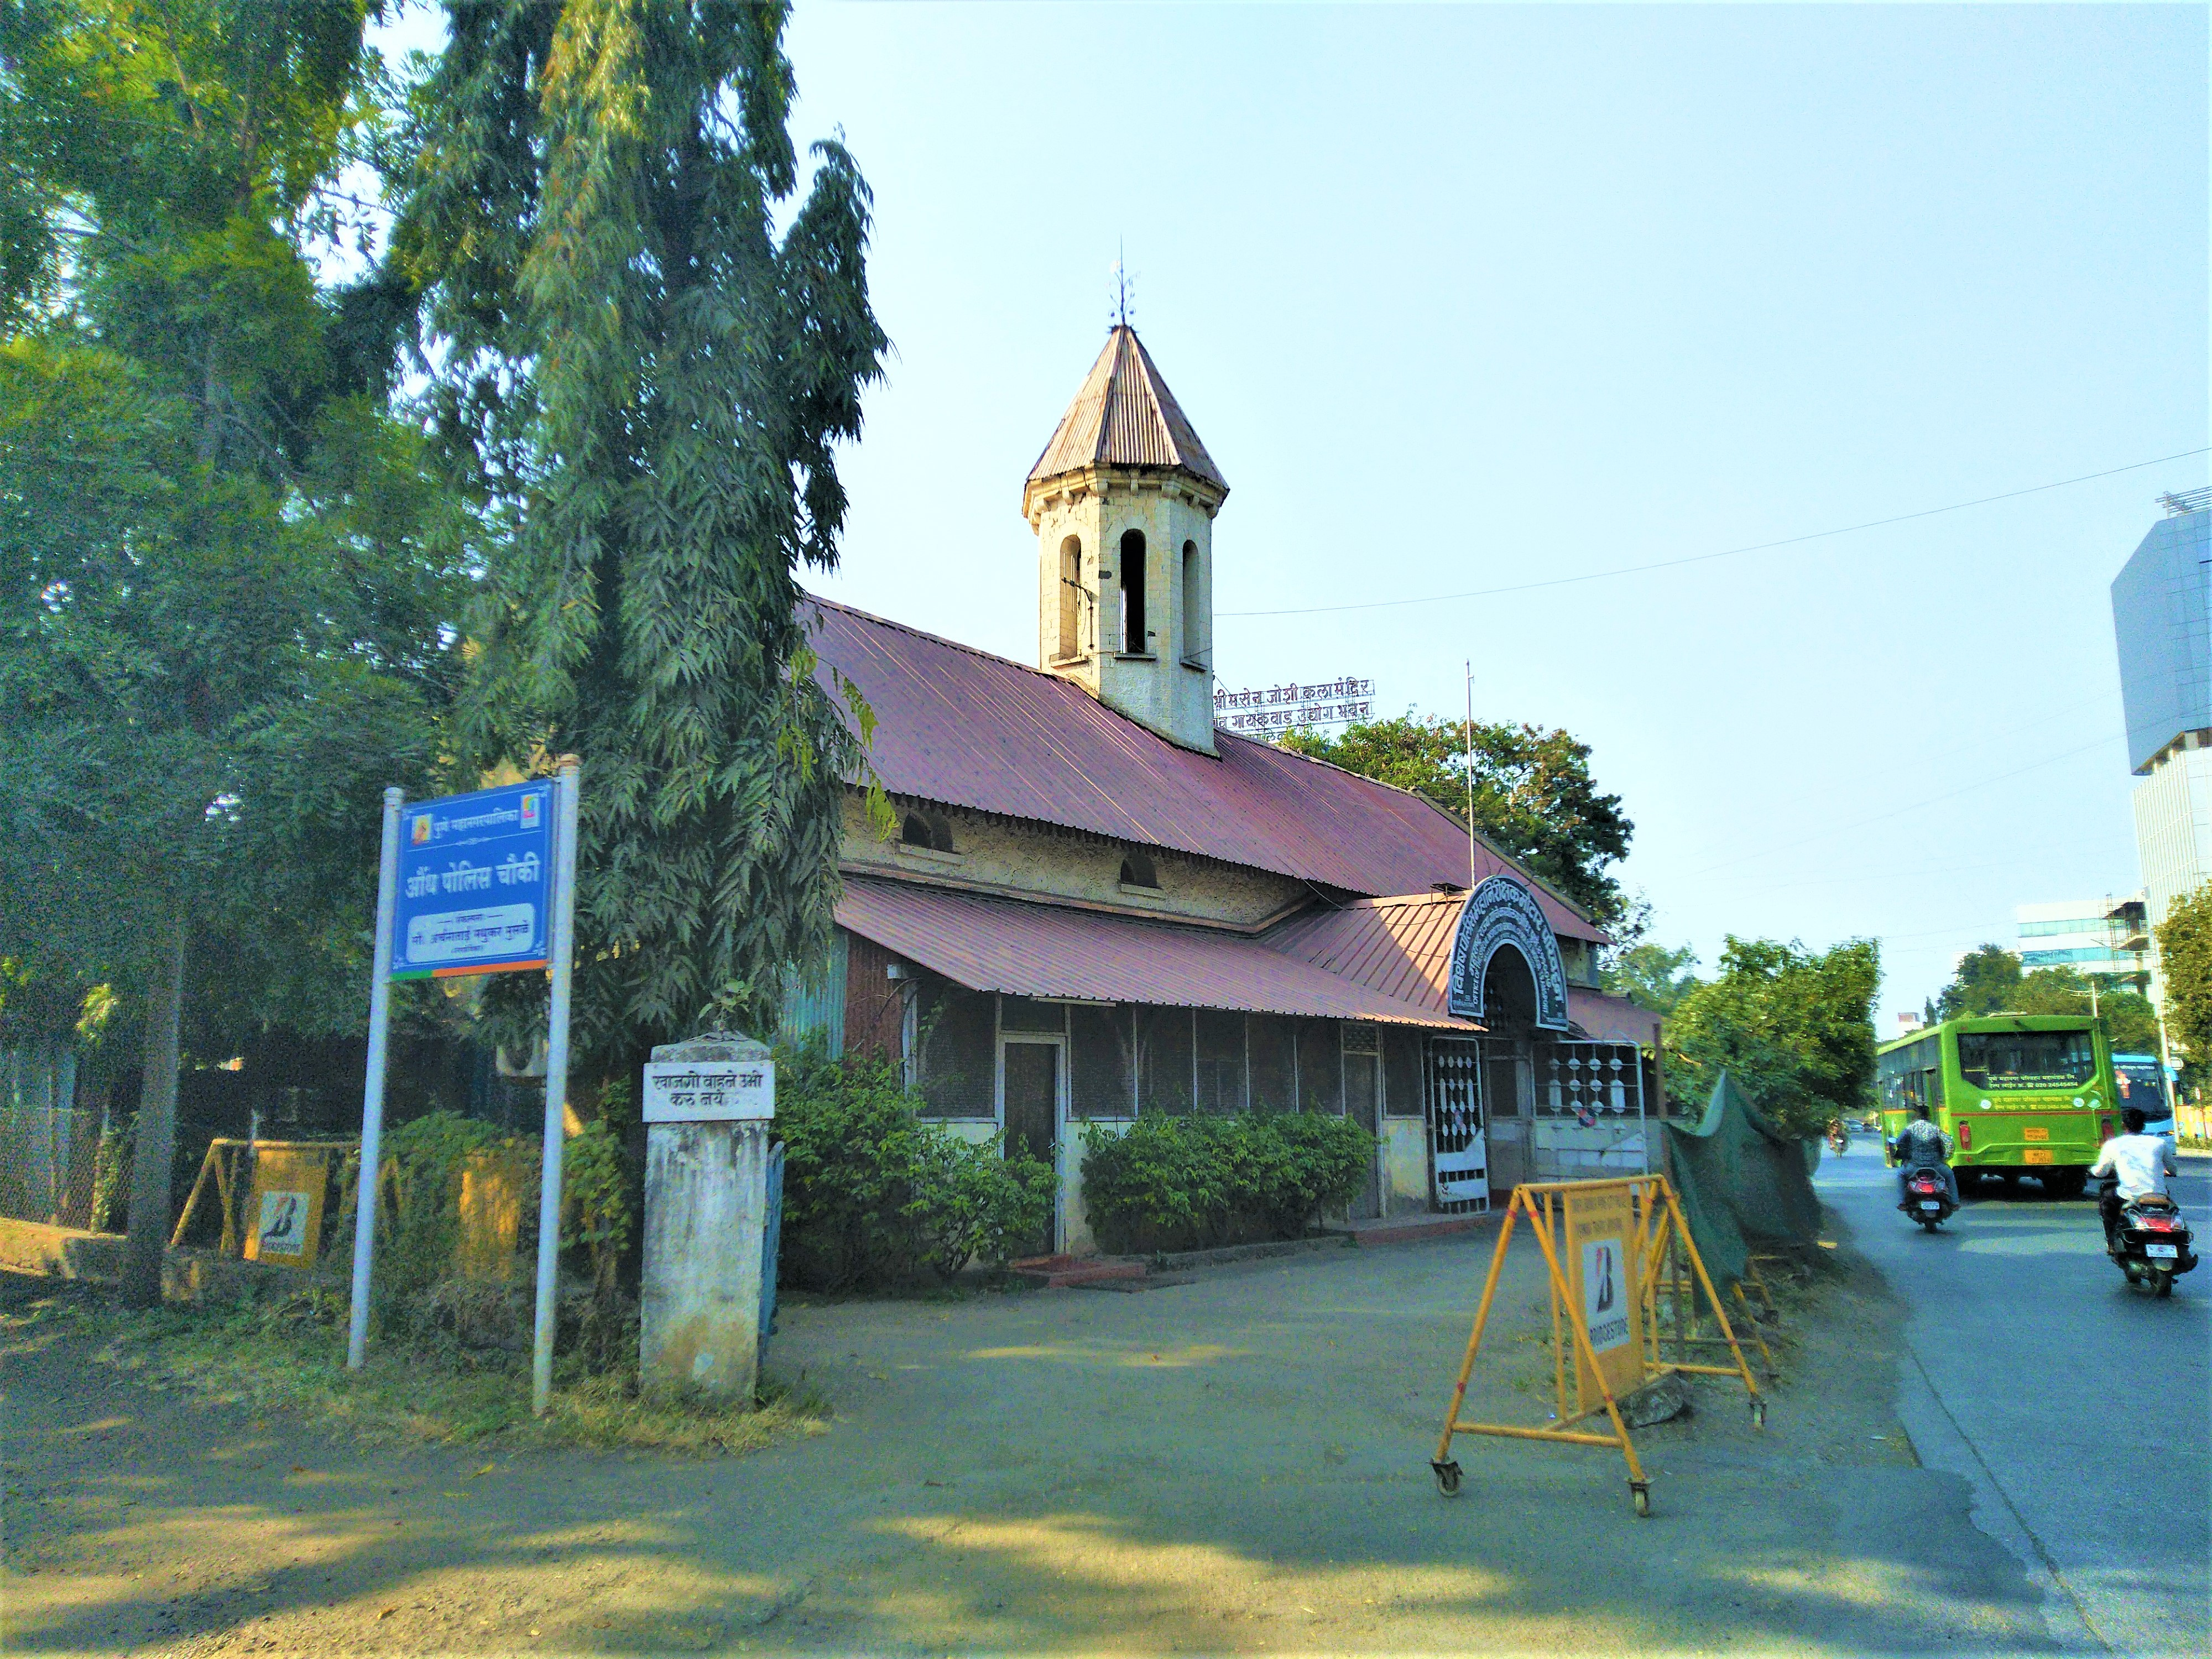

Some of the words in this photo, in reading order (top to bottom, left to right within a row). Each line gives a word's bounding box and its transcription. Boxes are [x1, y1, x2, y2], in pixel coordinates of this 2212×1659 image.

[1209, 683, 1265, 712] भीमसेन
[1229, 708, 1297, 731] गायकवाड
[1264, 679, 1302, 706] जोशी
[1293, 700, 1336, 724] उद्योग
[1302, 679, 1336, 702] कला
[1333, 672, 1370, 700] मंदिर
[1336, 700, 1370, 720] भवन
[430, 812, 454, 843] पुणे
[449, 805, 520, 834] महानगरपालिका
[402, 864, 442, 904] औंध
[436, 857, 494, 895] पोलिस
[494, 846, 545, 889] चौकी
[409, 926, 427, 947] सौ.
[428, 924, 475, 946] अर्चनाबाई
[454, 910, 484, 925] संकल्पना
[470, 922, 503, 945] मधुकर
[504, 915, 531, 943] मुसळे
[1455, 907, 1480, 955] पोलीस
[1469, 875, 1524, 922] महानिरीक्षक
[1517, 888, 1547, 936] मोटार
[1446, 943, 1468, 997] विशेष
[1539, 925, 1567, 1006] परिवहन
[651, 1066, 705, 1092] खाजगी
[702, 1063, 740, 1089] वाहने
[735, 1066, 767, 1091] उभी
[670, 1088, 700, 1111] करु
[698, 1086, 728, 1108] नये